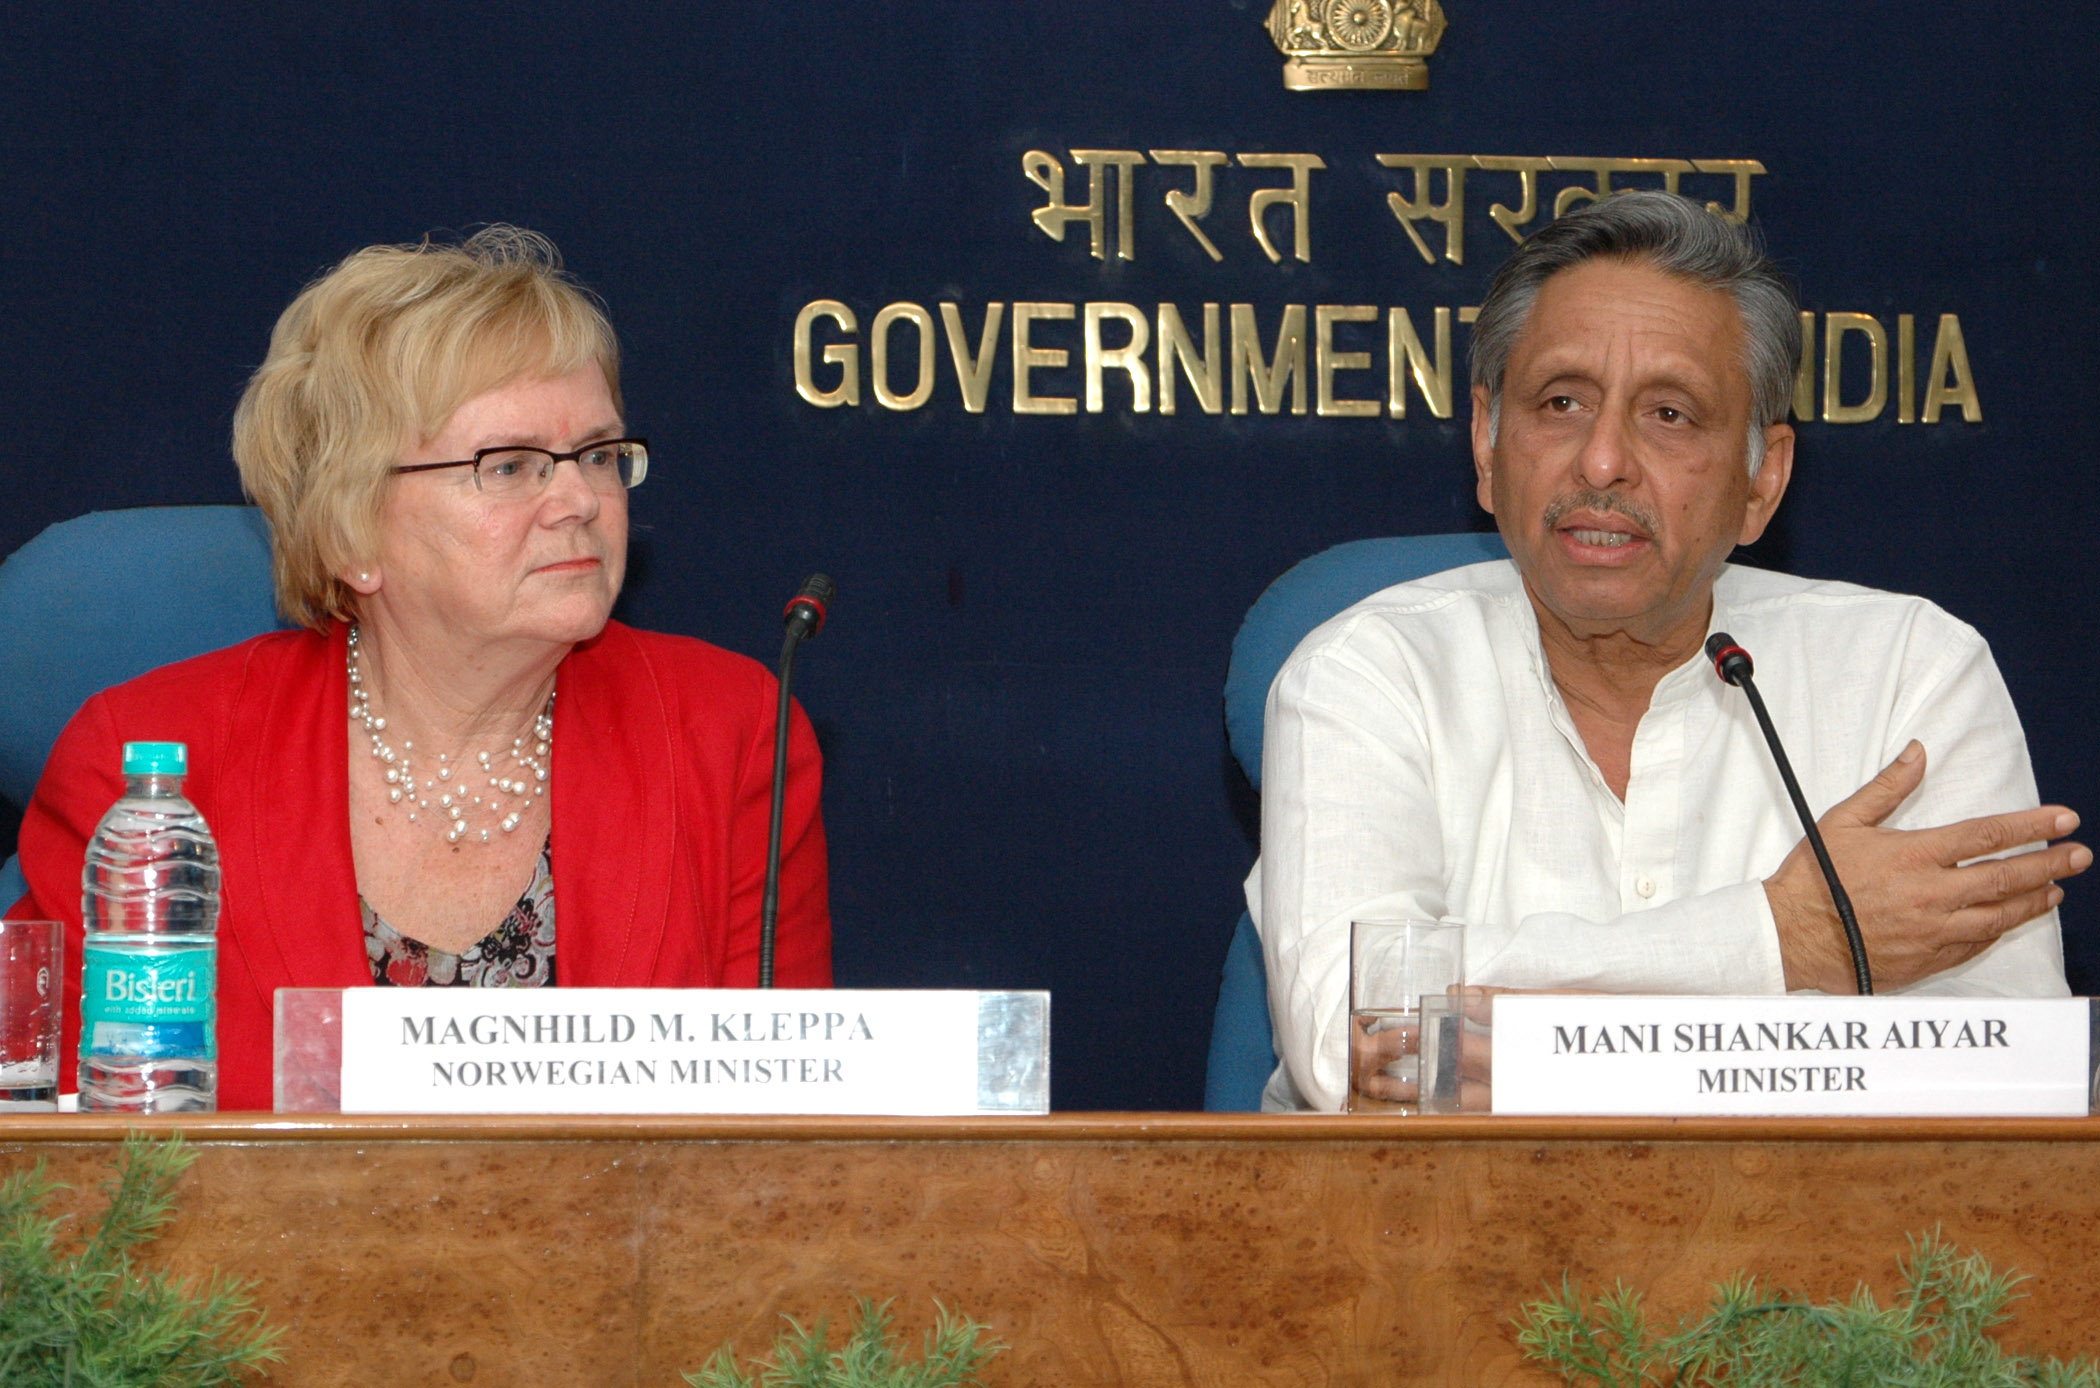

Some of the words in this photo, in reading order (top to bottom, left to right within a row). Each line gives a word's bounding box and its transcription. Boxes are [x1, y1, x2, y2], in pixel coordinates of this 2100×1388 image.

[1016, 137, 1328, 272] भारत
[1369, 143, 1769, 275] सर
[783, 286, 1486, 436] GOVERNMENT
[1785, 296, 1988, 436] INDIA
[98, 960, 195, 1013] Bisleri
[399, 1009, 640, 1056] MAGNHILD
[641, 1007, 703, 1050] M.
[713, 1001, 885, 1050] KLEPPA
[1540, 1017, 1673, 1061] MANI
[1667, 1014, 1872, 1058] SHANKAR
[1873, 1012, 2013, 1060] AIYAR
[422, 1055, 662, 1094] NORWEGIAN
[664, 1053, 850, 1092] MINISTER
[1689, 1063, 1880, 1105] MINISTER